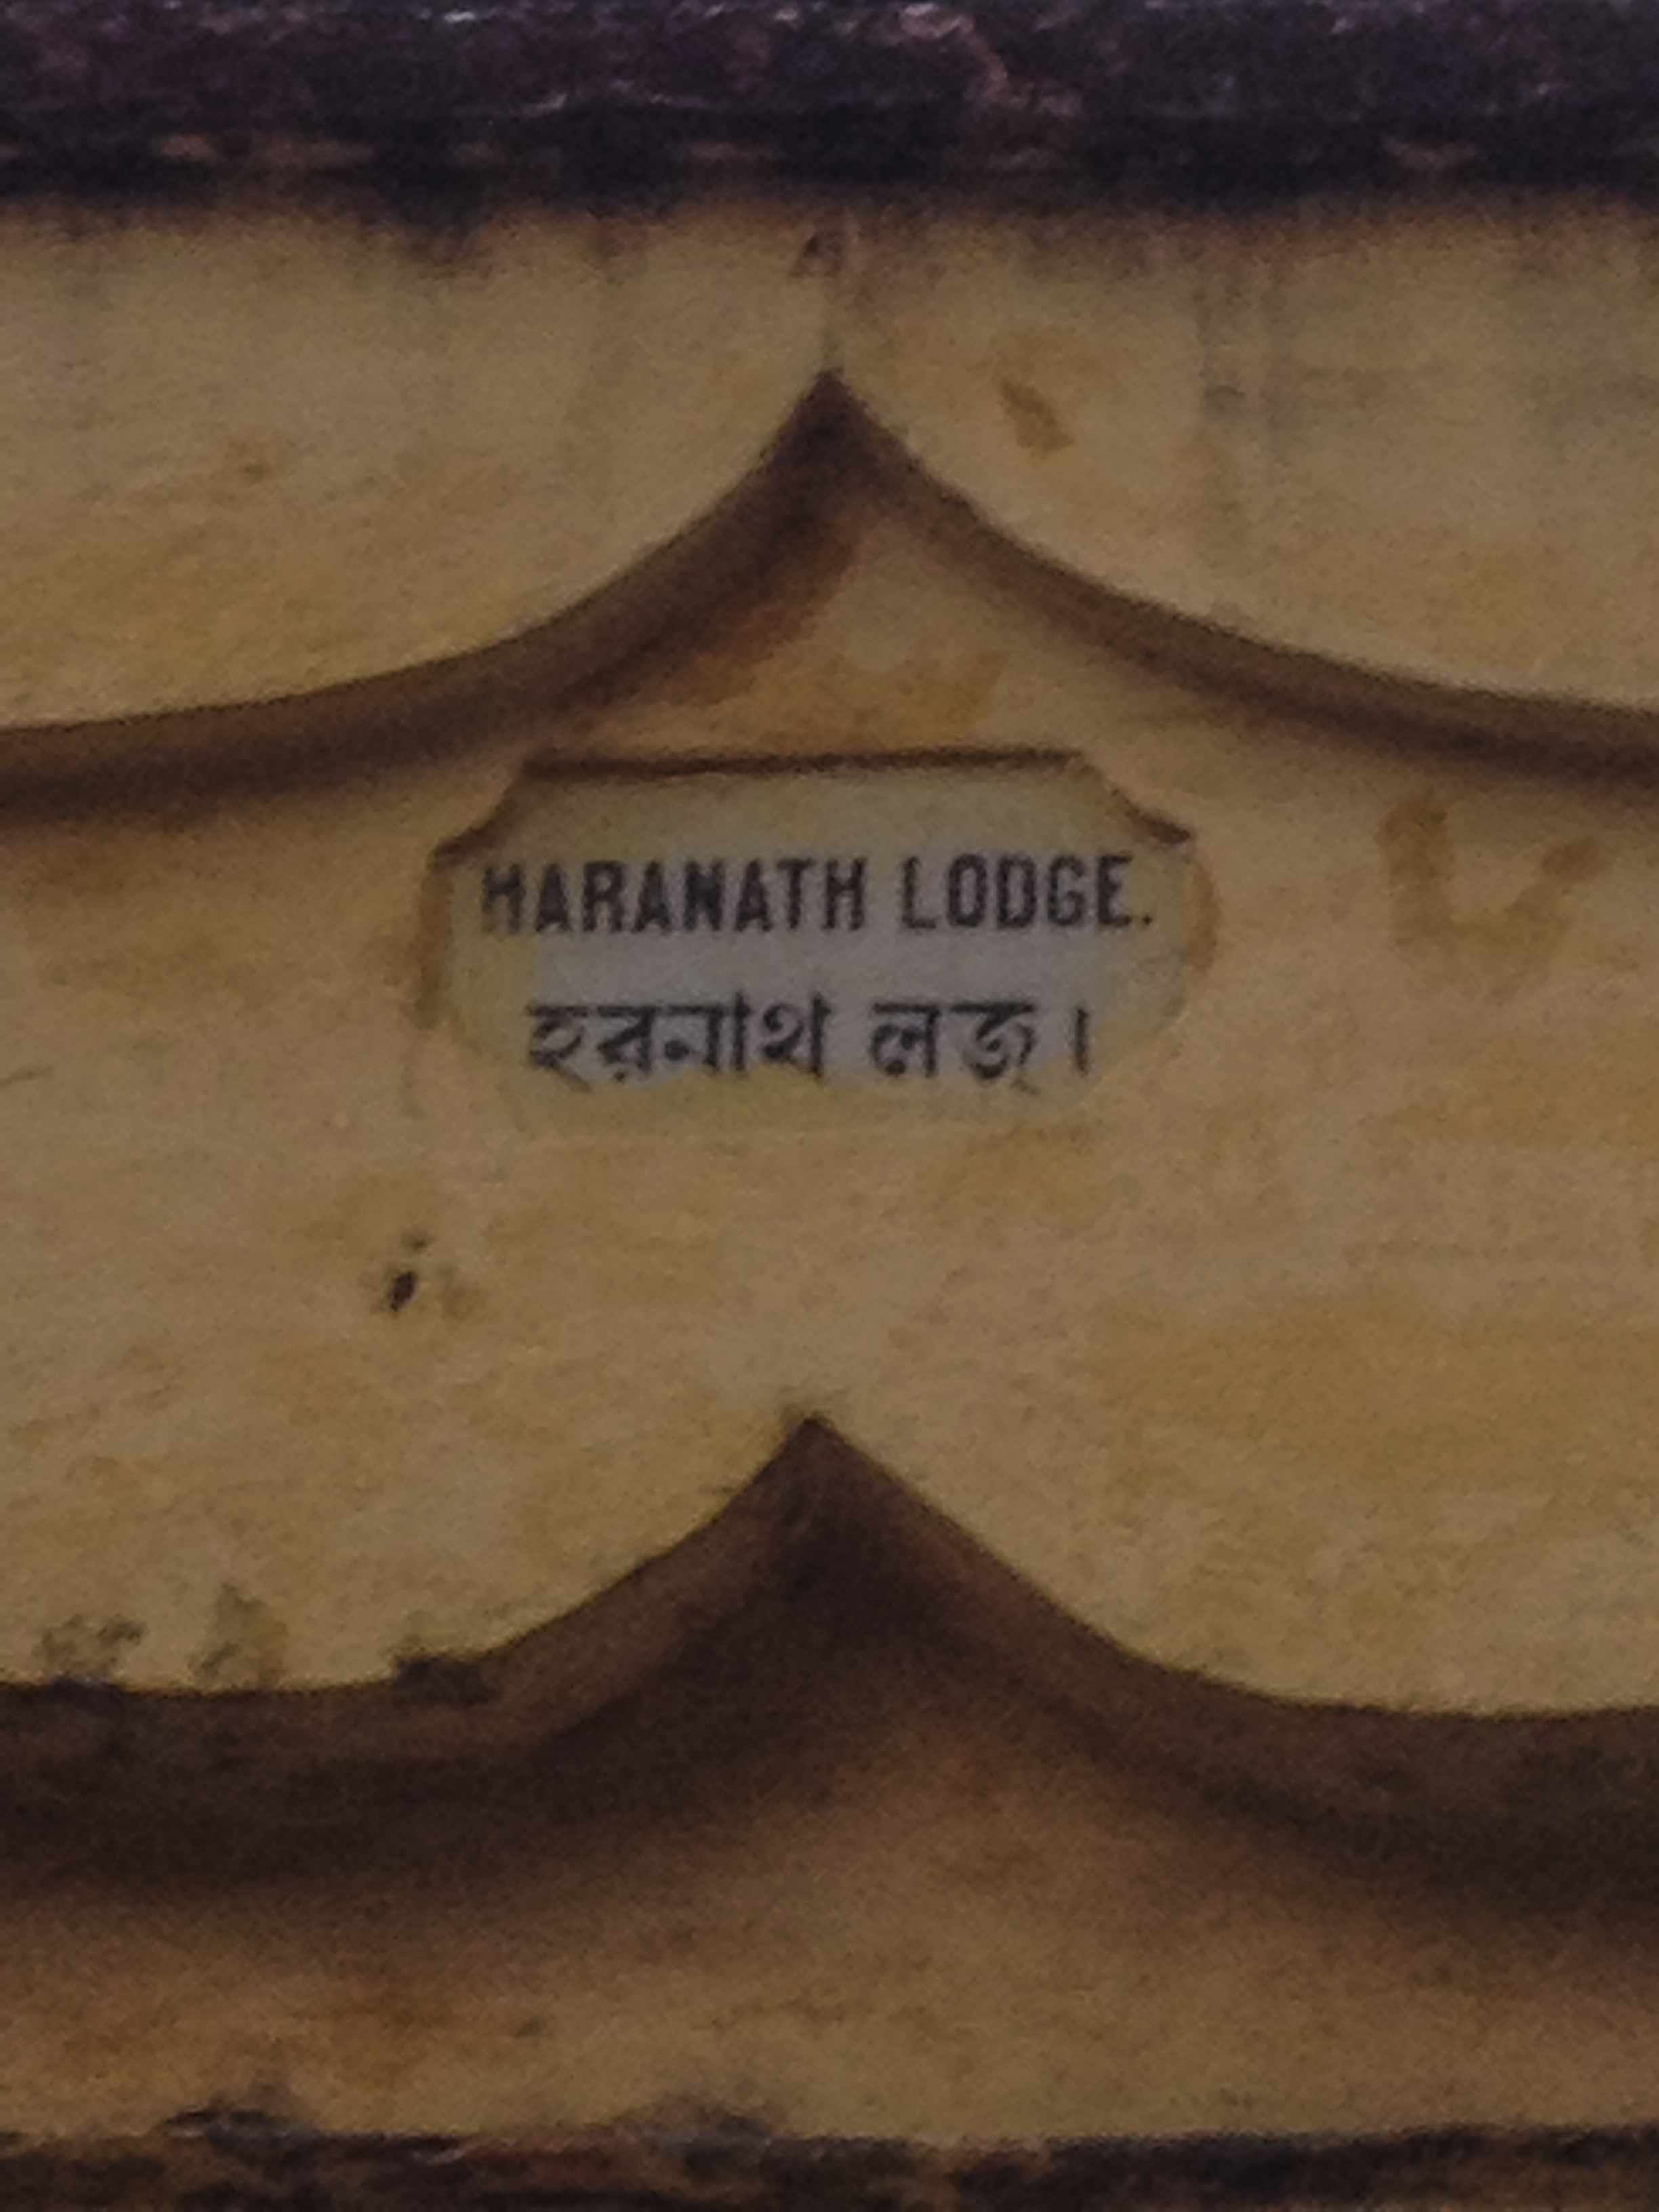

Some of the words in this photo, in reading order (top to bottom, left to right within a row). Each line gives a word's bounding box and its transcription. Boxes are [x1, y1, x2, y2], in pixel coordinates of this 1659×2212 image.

[477, 839, 873, 937] HARANATH
[891, 830, 1139, 936] LODGE
[523, 979, 839, 1091] হরনাথ
[845, 992, 1071, 1104] লজ্